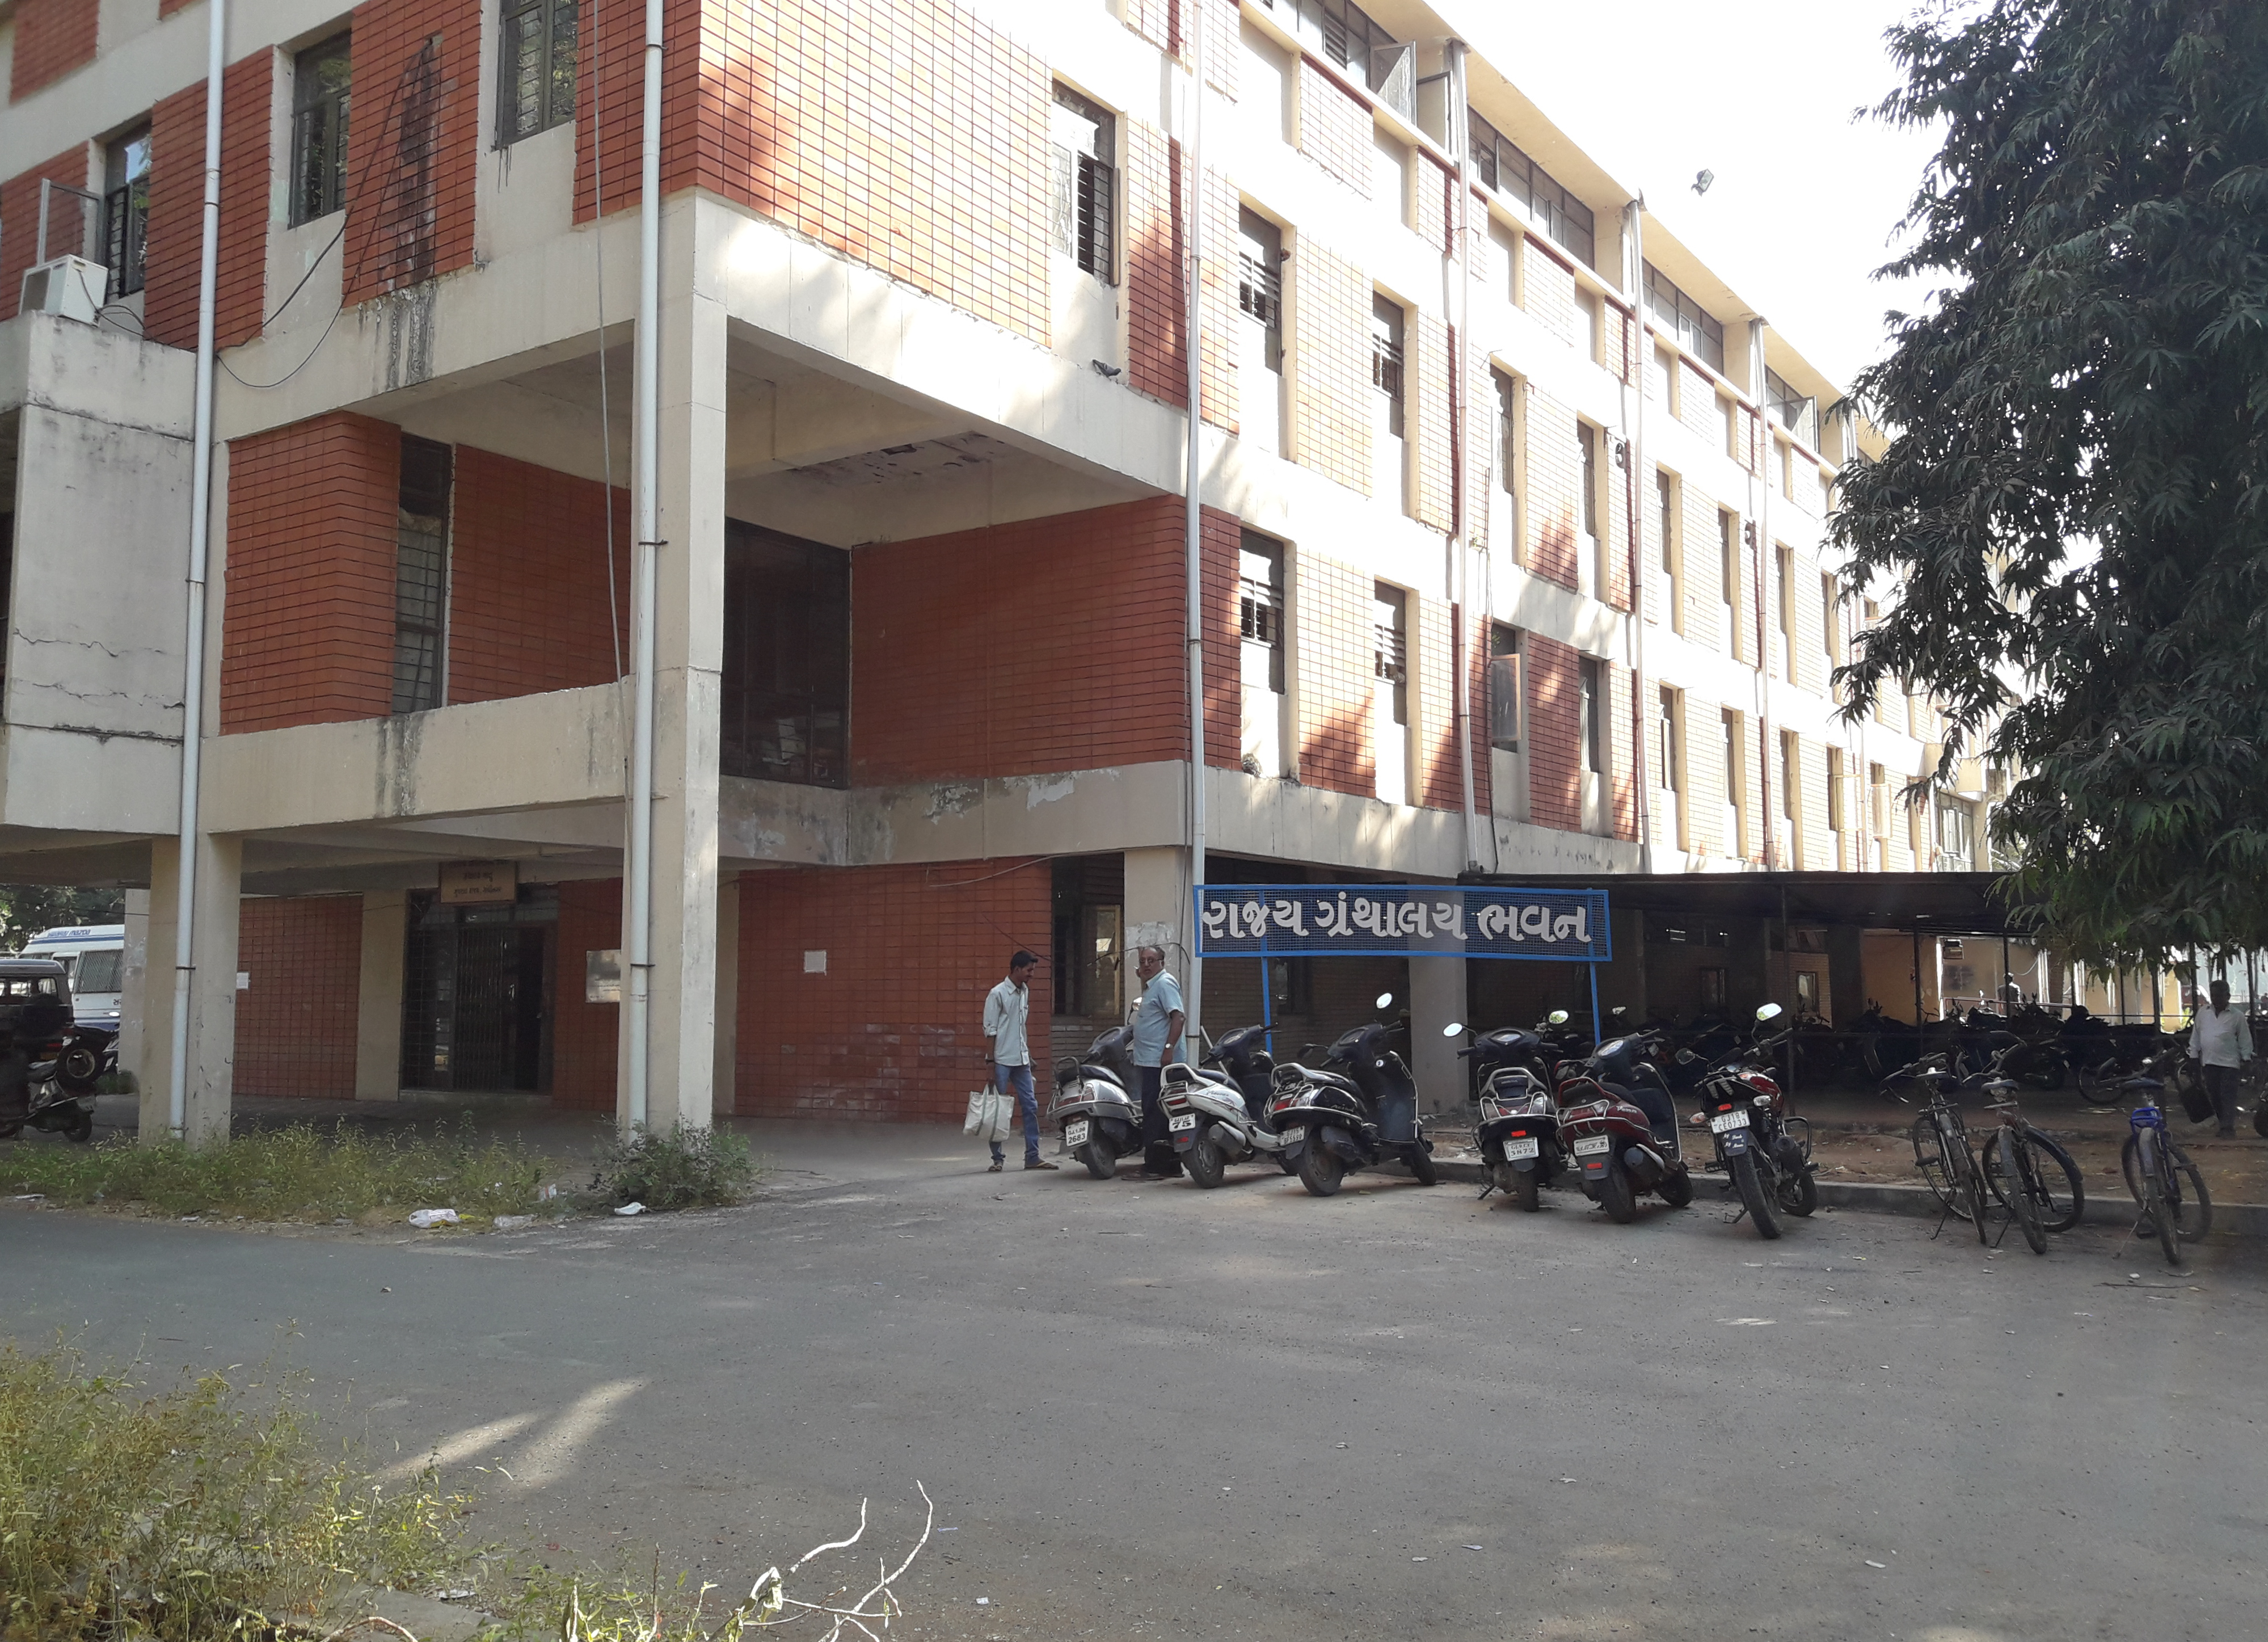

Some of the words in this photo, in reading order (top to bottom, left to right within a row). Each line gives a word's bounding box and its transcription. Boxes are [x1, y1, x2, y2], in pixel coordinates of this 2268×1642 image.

[1201, 896, 1314, 946] રાજય
[1313, 885, 1473, 946] ગ્રંથાલય
[1473, 897, 1597, 946] ભવન